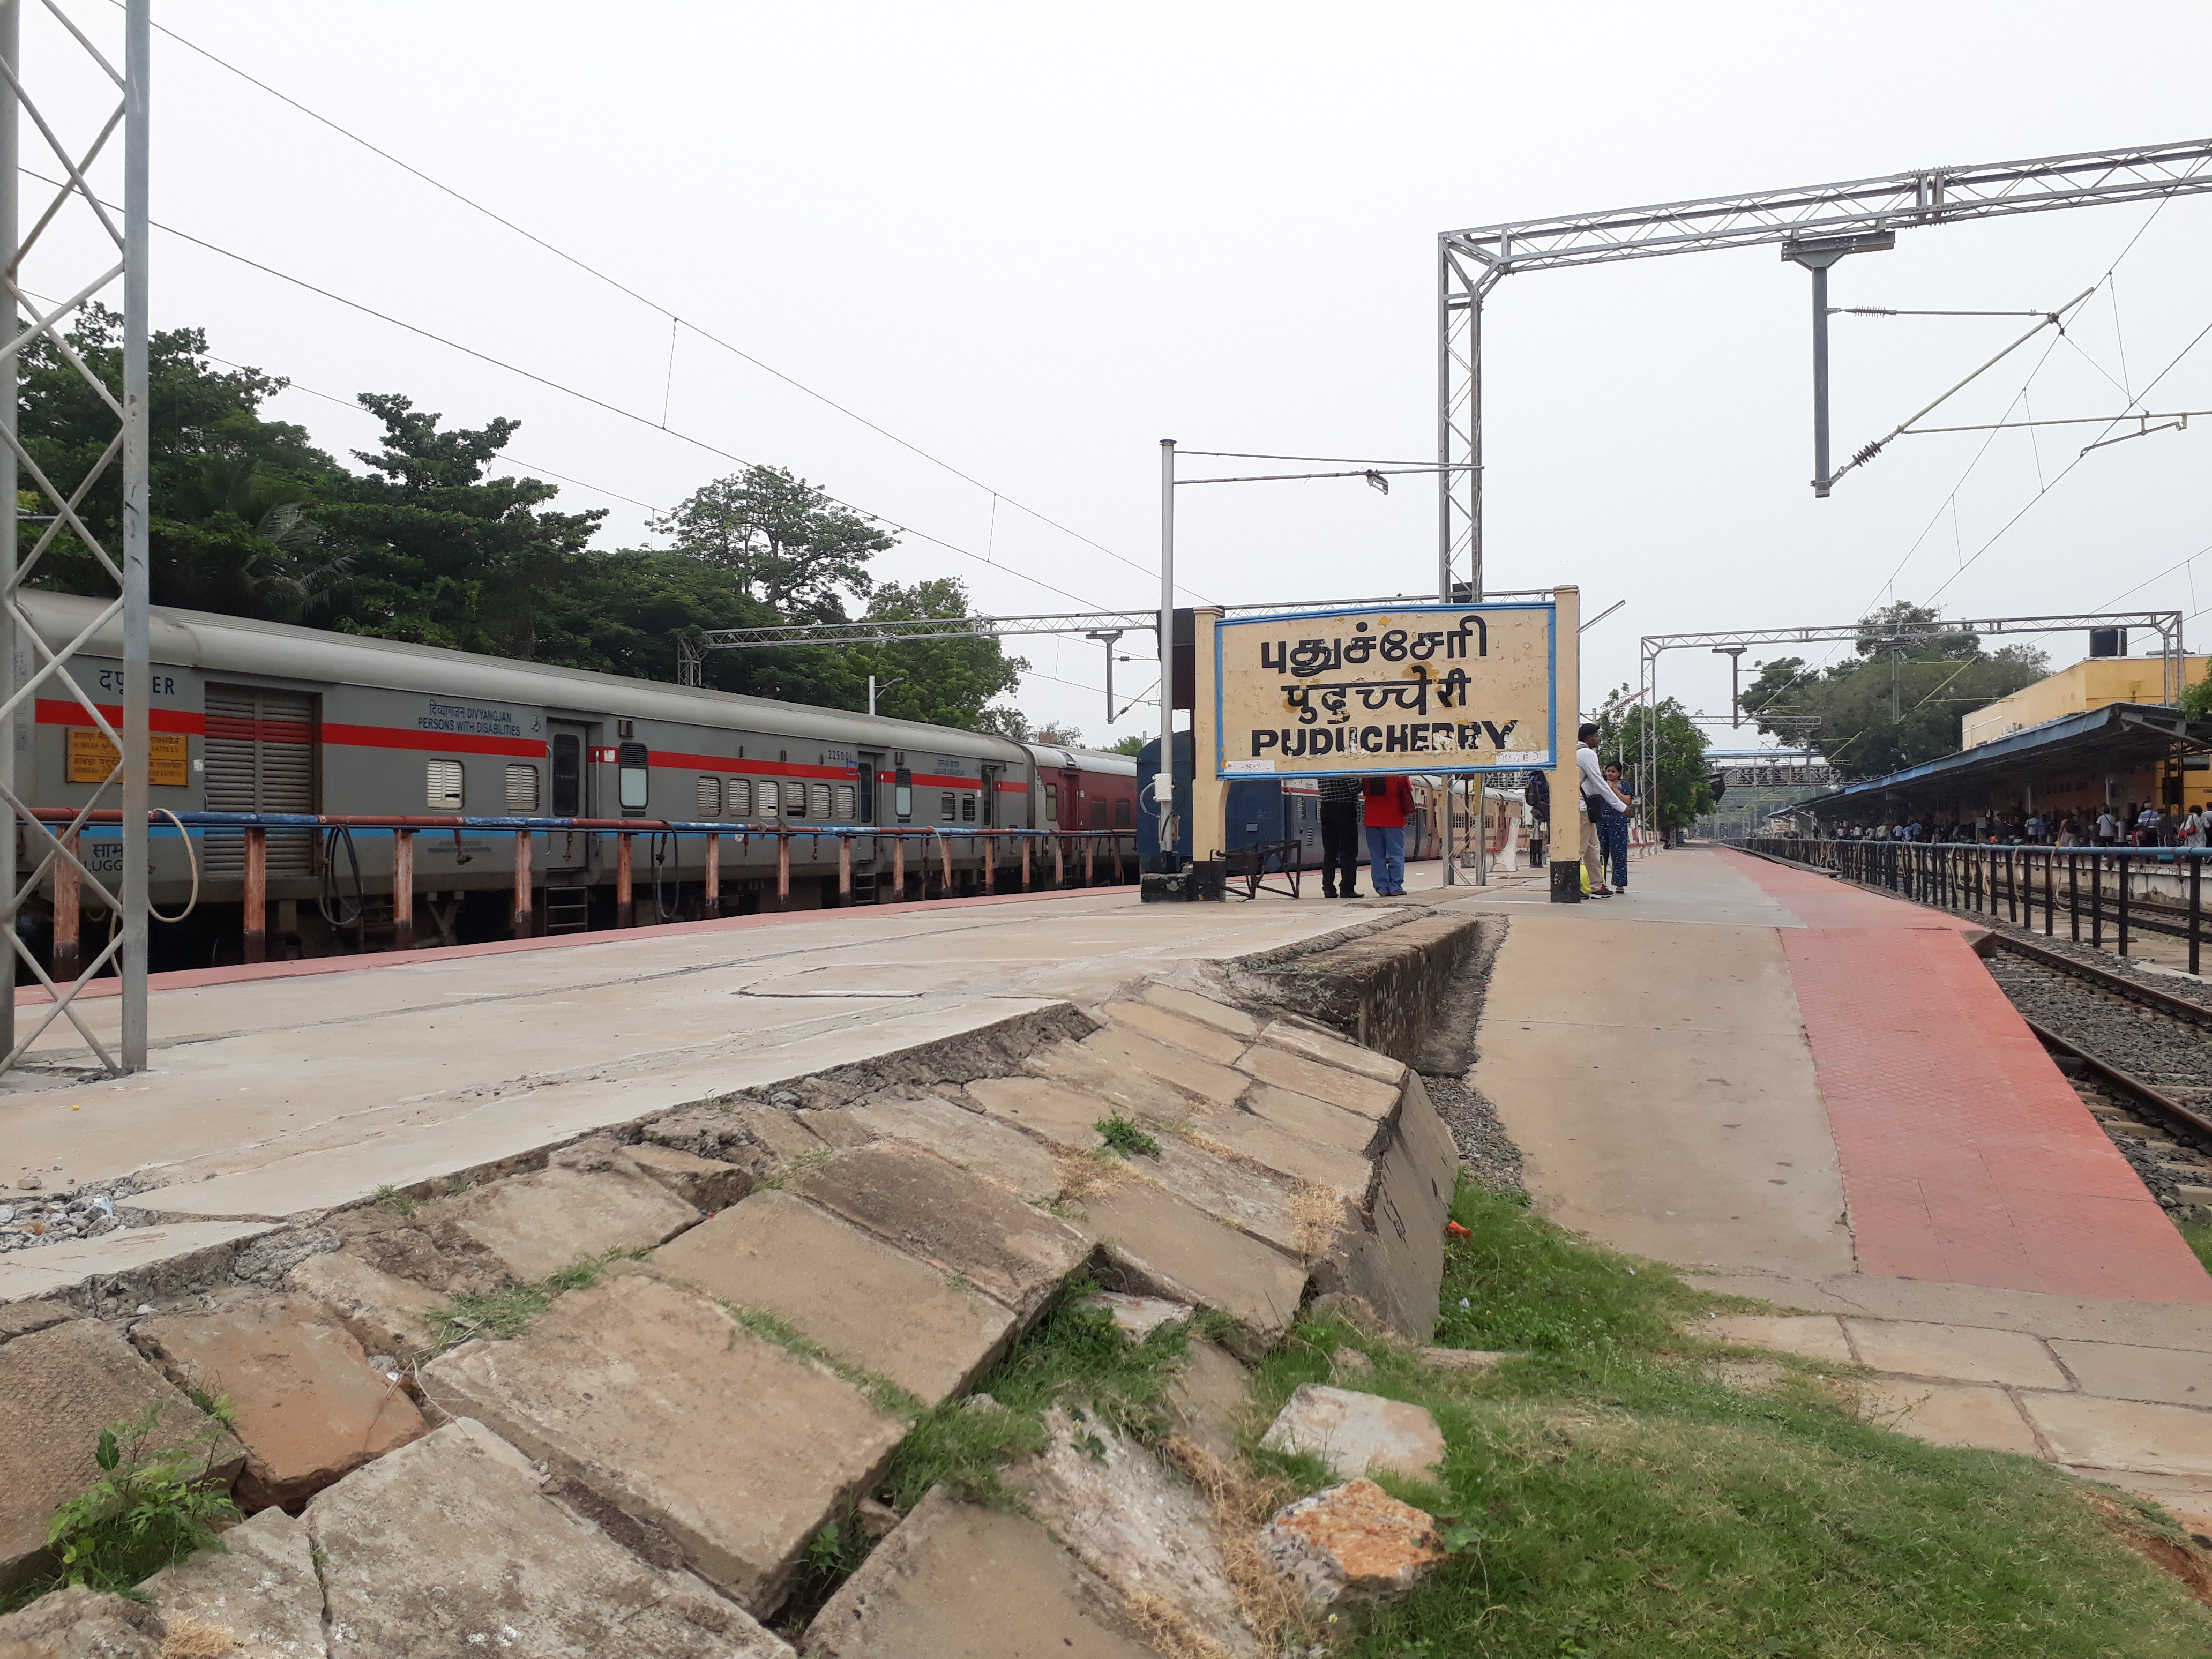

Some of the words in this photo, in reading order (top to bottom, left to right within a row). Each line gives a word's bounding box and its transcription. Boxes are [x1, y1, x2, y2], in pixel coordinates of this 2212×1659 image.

[1258, 611, 1489, 681] புதுச்சோி
[1280, 663, 1473, 727] पुदुच्चेरी
[427, 697, 467, 720] दिव्यांगजन
[466, 705, 514, 723] DIVYANGJAN
[416, 715, 456, 733] PERSONS
[452, 718, 477, 733] WITH
[474, 720, 521, 738] DISABILITIES
[148, 733, 181, 748] एक्सप्रेस
[1249, 718, 1520, 760] PUDUCHERRY